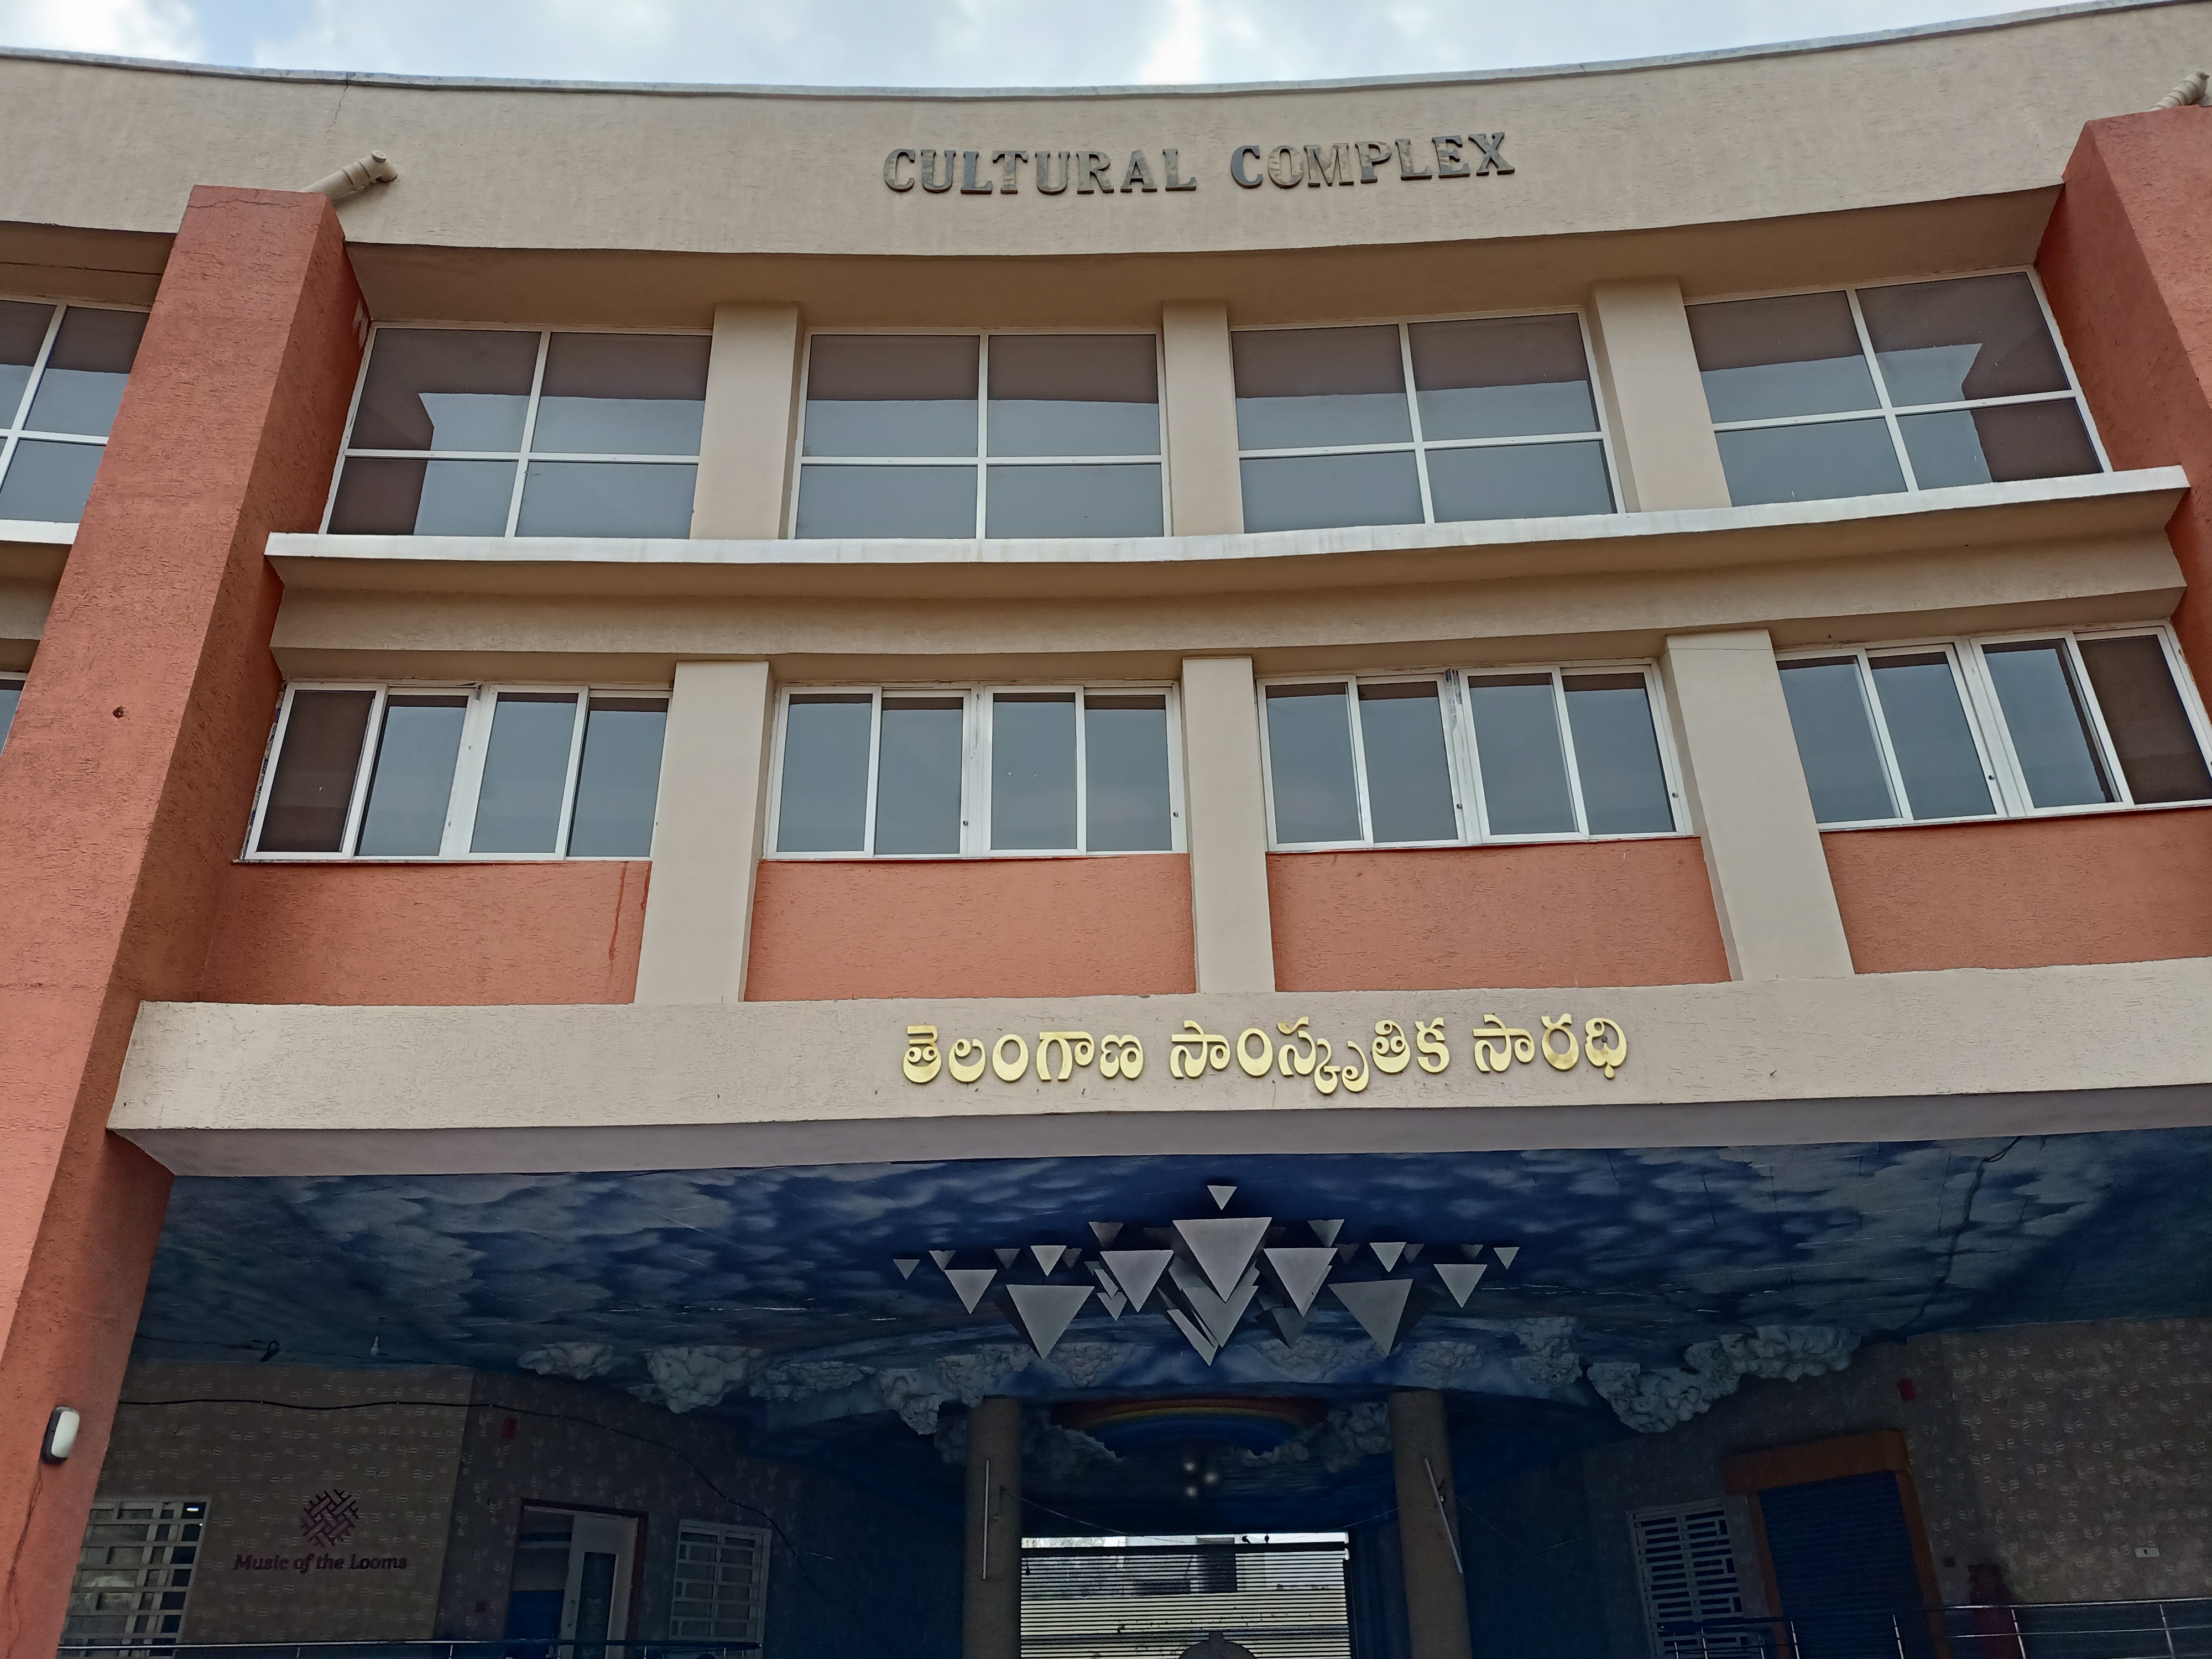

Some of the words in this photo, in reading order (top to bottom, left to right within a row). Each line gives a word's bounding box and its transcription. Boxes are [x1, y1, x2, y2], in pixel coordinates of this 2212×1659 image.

[882, 144, 1199, 194] CULTURAL
[1225, 129, 1518, 190] COMPLEX
[901, 1020, 1146, 1086] తెలంగాణ
[1166, 1010, 1451, 1099] సాంస్కృతిక
[1464, 1008, 1631, 1082] సారధి